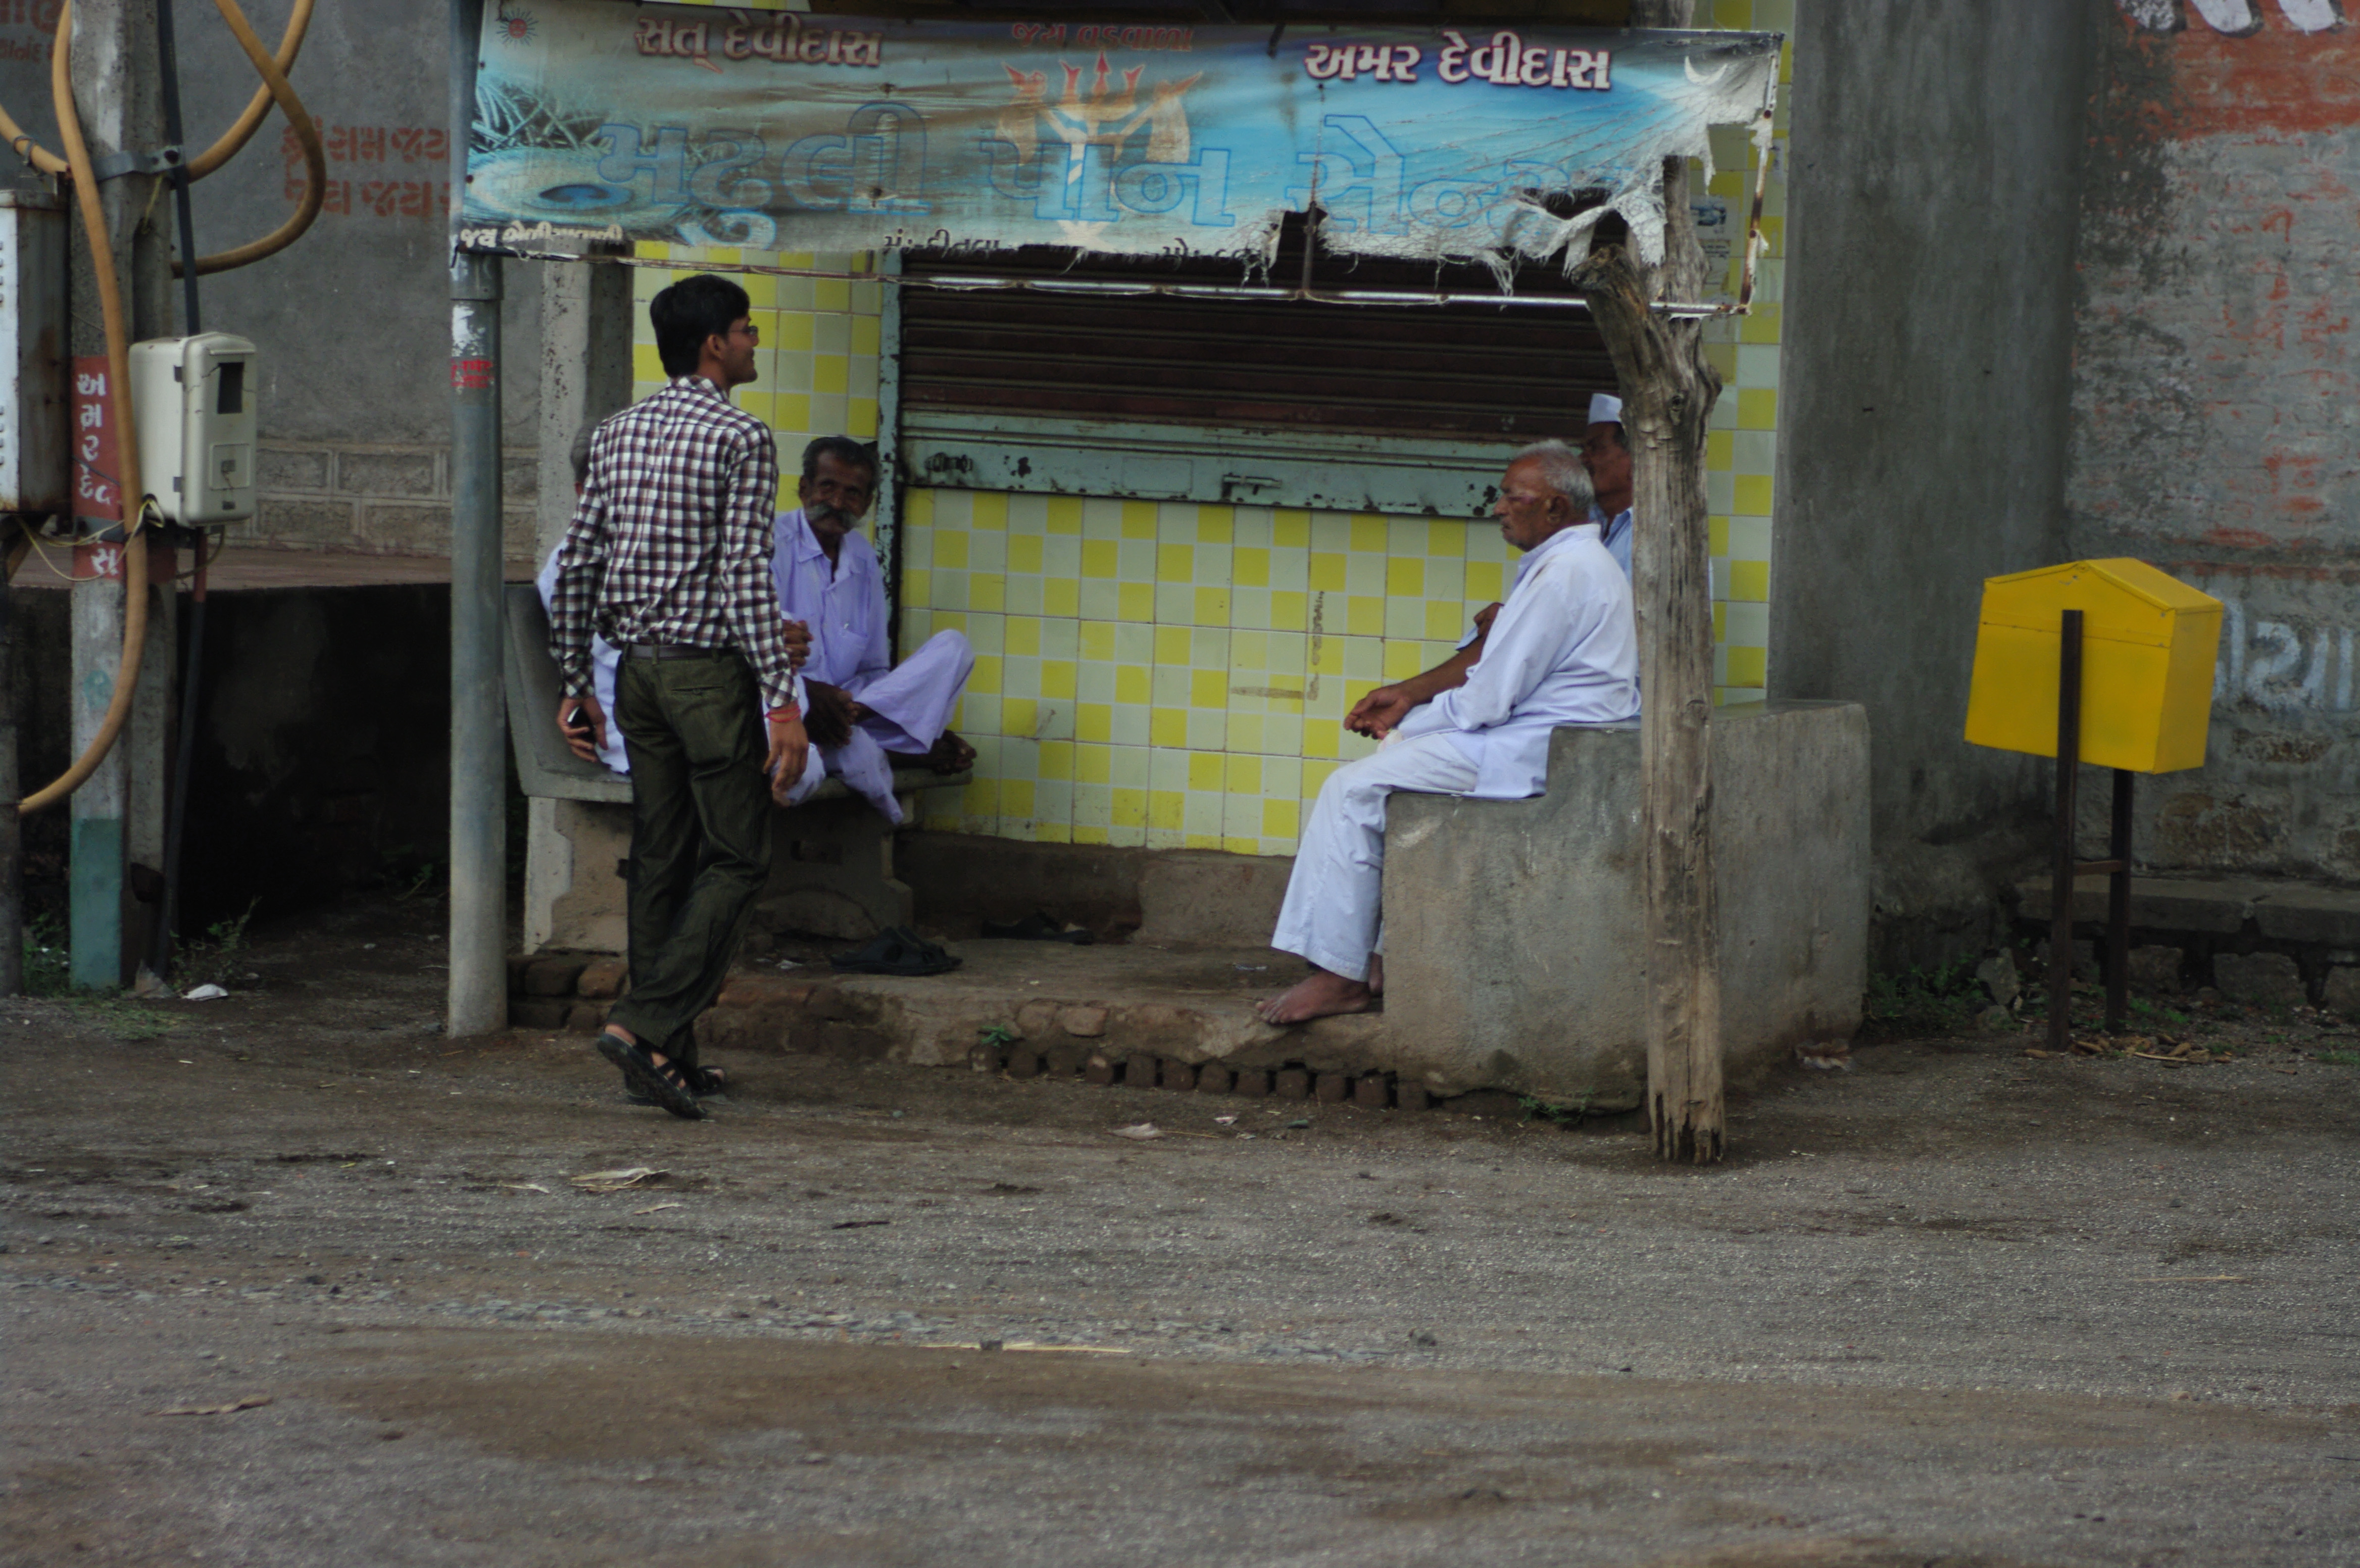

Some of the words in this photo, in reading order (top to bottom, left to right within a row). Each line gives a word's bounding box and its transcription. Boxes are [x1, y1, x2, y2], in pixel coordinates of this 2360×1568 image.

[625, 10, 726, 80] સત્
[718, 6, 899, 76] દેવીદાસ
[1005, 18, 1071, 55] જય
[1069, 24, 1202, 63] વડવાળા
[1306, 34, 1422, 85] અમર
[1435, 28, 1614, 94] દેવીદાસ
[324, 120, 393, 165] રામ
[388, 121, 450, 169] જય
[357, 170, 436, 224] જય
[586, 89, 948, 256] મઢુલી
[966, 125, 1249, 235] પાન
[458, 224, 500, 252] જય
[71, 365, 110, 474] અમર